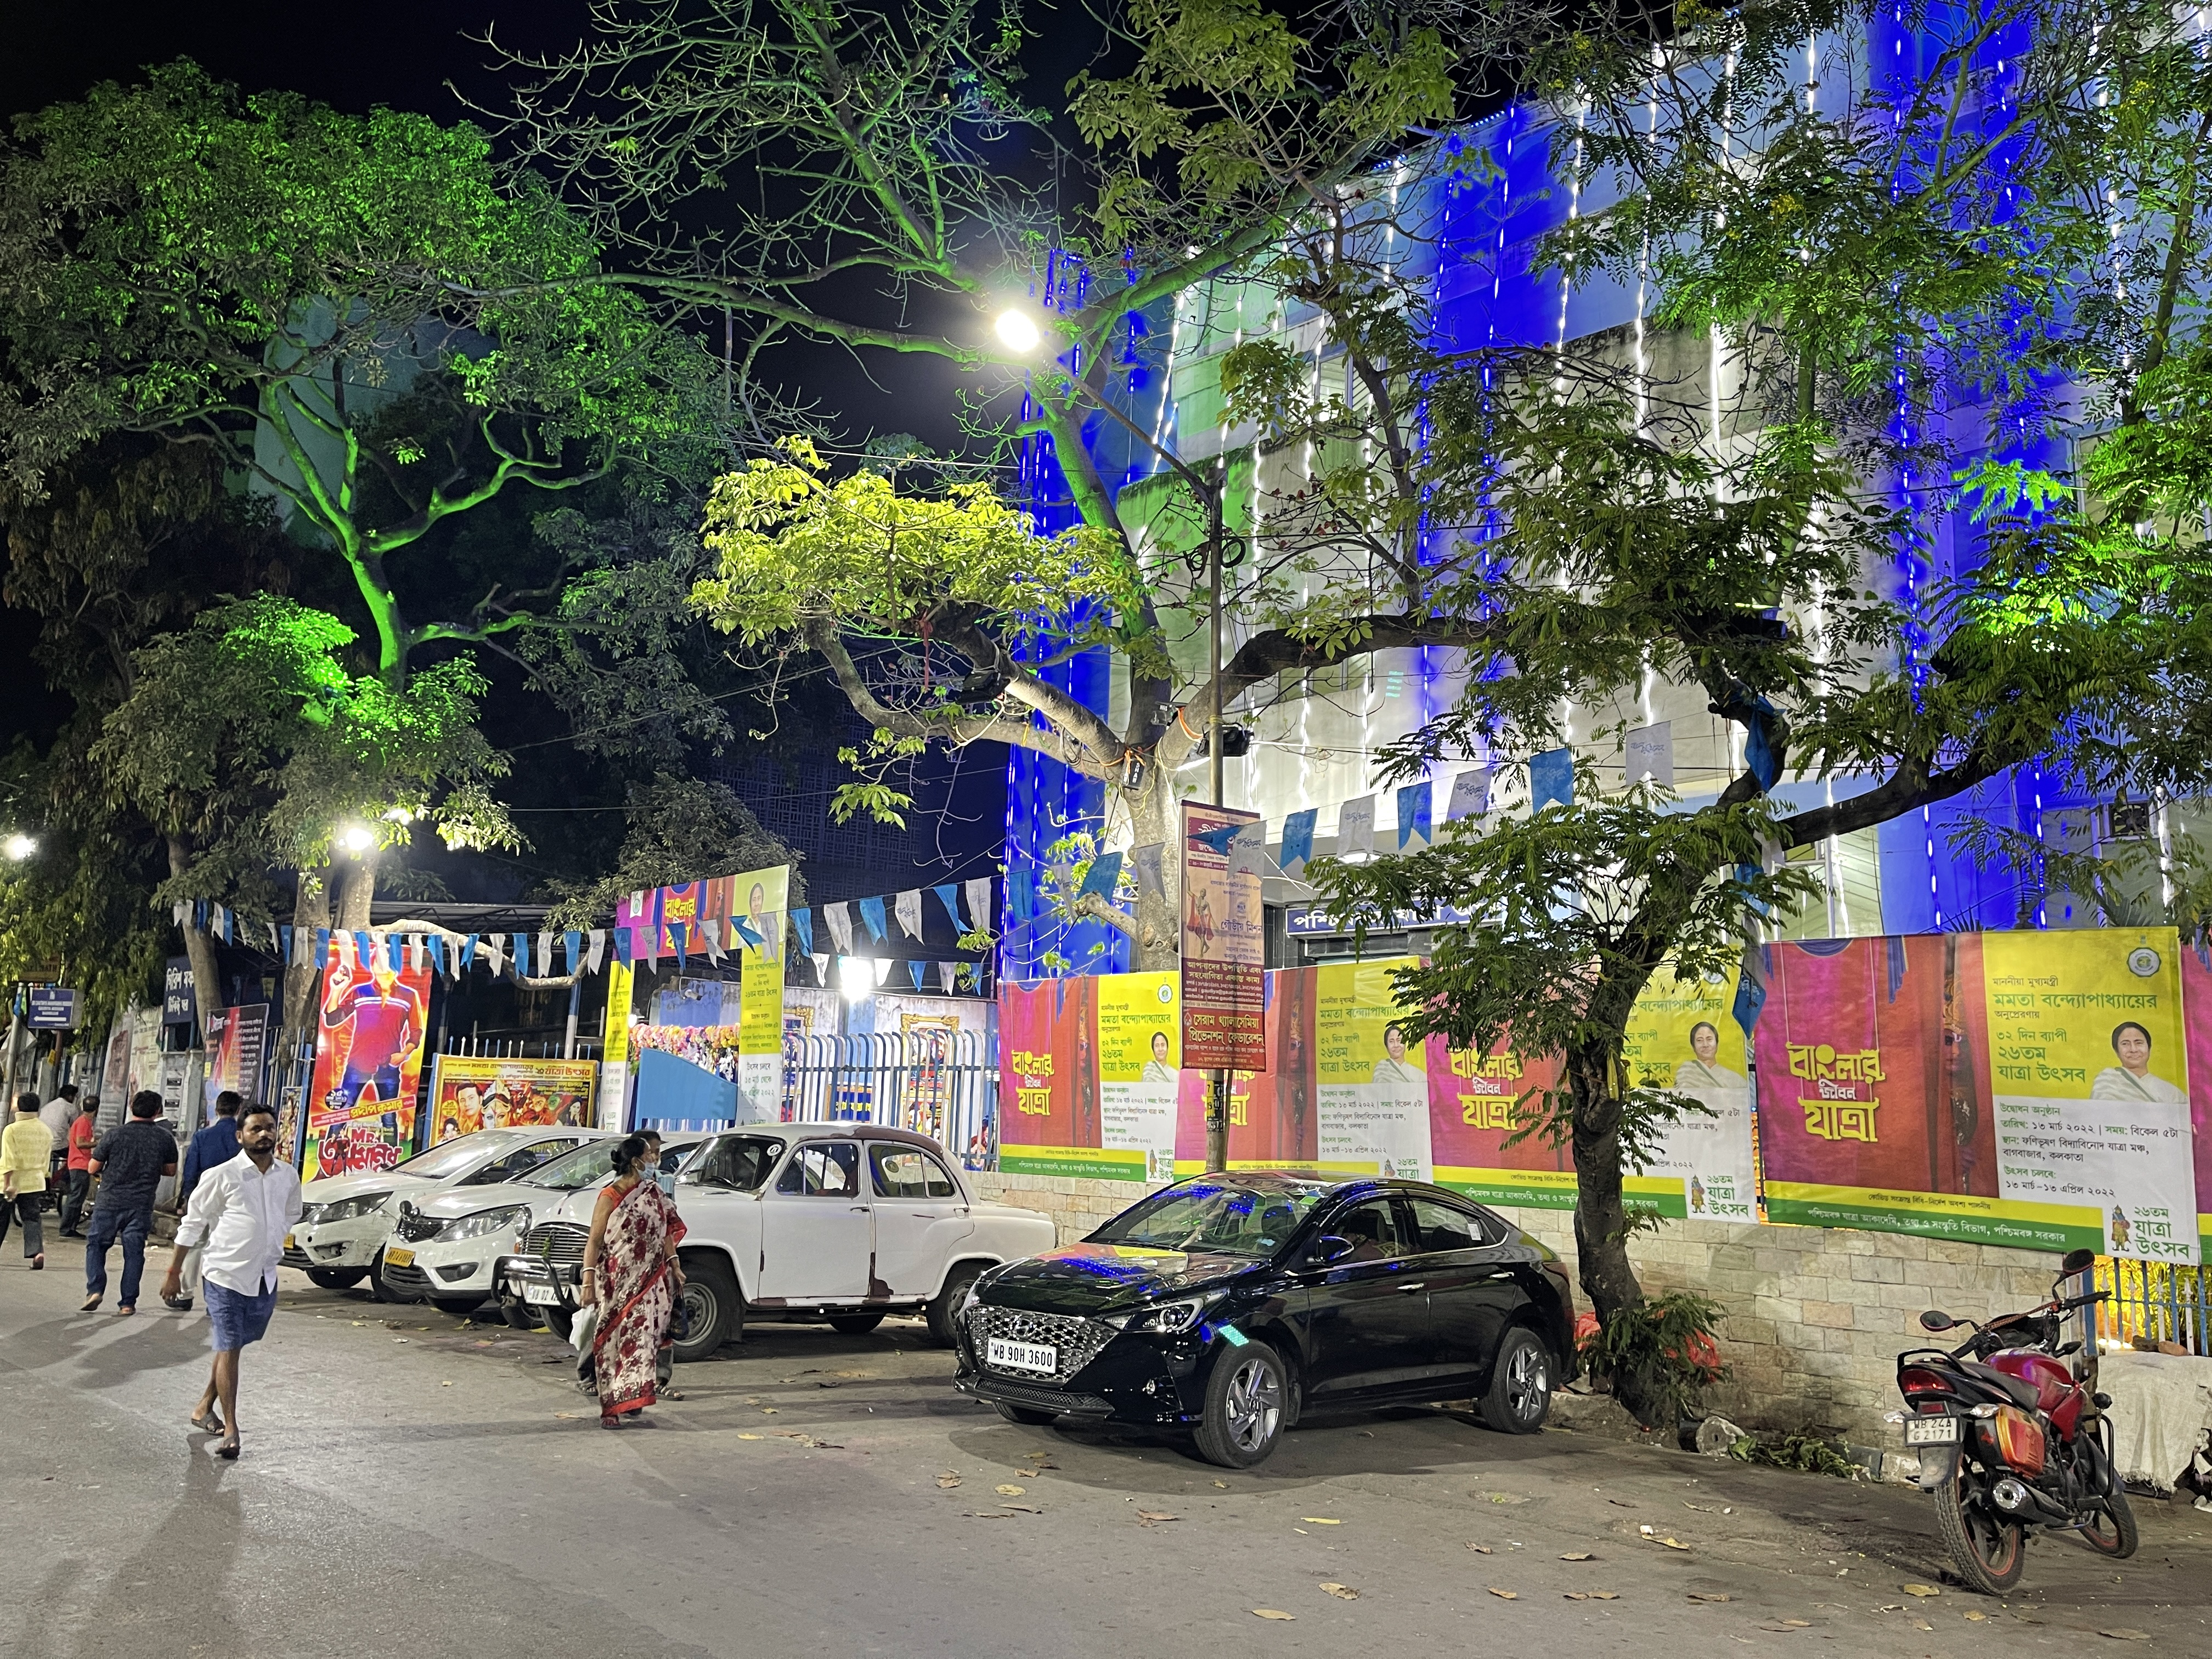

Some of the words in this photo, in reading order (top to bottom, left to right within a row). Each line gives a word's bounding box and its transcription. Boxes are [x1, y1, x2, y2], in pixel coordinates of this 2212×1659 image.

[664, 894, 698, 920] বাংলার
[1218, 915, 1248, 933] গৌড়ীয়
[1242, 915, 1267, 936] মিশন
[1184, 957, 1221, 973] আপনাদের
[1188, 969, 1226, 984] সহযোগিতা
[1222, 970, 1246, 986] একান্ত
[1218, 958, 1251, 978] উপস্থিতি
[1242, 972, 1263, 985] কাম্য
[1248, 964, 1265, 977] এবং
[1988, 970, 2028, 991] মাননীয়া
[2025, 971, 2063, 990] মুখ্যমন্ত্রী
[741, 986, 761, 999] ২৬তম
[755, 985, 780, 1001] যাত্রা উৎসব
[1097, 1012, 1121, 1027] মমতা
[1101, 1036, 1122, 1050] ৩২দিন
[1118, 1034, 1138, 1048] ব্যাপী
[1120, 1009, 1173, 1028] বন্দ্যোপাধ্যায়ের
[1190, 1008, 1217, 1030] সেরাম
[1180, 1022, 1228, 1048] প্রিভেনশন্
[1217, 1012, 1261, 1033] থ্যালাসেমিয়া
[1223, 1030, 1269, 1048] ফেডারেশন
[1313, 1005, 1344, 1023] মমতা
[1317, 1030, 1345, 1047] ৩২দিন
[1318, 1019, 1348, 1031] অনুপ্রেরণায়
[1337, 992, 1359, 1007] মুখ্যমন্ত্রী
[1342, 1029, 1364, 1046] ব্যাপী
[1345, 998, 1411, 1021] বন্দ্যেয়পাধ্যায়ের
[1633, 1021, 1661, 1046] ব্যাপী
[1637, 992, 1728, 1015] বন্দ্যোপাধ্যায়ের
[1994, 1030, 2015, 1045] ৩২
[1990, 986, 2037, 1013] মমতা
[1991, 1006, 2041, 1024] অনুপ্রেরণায়
[2015, 1021, 2039, 1045] দিন
[2037, 1024, 2070, 1045] ব্যাপী
[2038, 989, 2160, 1011] বন্দ্যোপাধ্যায়ের
[742, 1058, 761, 1075] উৎসব
[754, 1060, 773, 1073] চলবে:
[1006, 1040, 1059, 1081] বাংলার
[1020, 1071, 1045, 1090] জীবন
[1014, 1084, 1054, 1119] যাত্রা
[1100, 1059, 1120, 1076] যাত্রা
[1100, 1046, 1127, 1062] ২৬তম
[1113, 1054, 1144, 1077] উৎসব
[1314, 1087, 1340, 1101] উদ্বোধন
[1317, 1096, 1339, 1112] তারিখ:
[1318, 1133, 1339, 1146] উৎসব
[1317, 1059, 1342, 1076] যাত্রা
[1319, 1143, 1343, 1157] ১৩ মার্চ
[1319, 1121, 1348, 1133] বাগবাজার
[1318, 1044, 1351, 1064] ২৬তম
[1330, 1110, 1354, 1123] ফণিভূষণ
[1335, 1099, 1359, 1113] ১৩ মার্চ
[1337, 1085, 1360, 1101] অনুষ্ঠান
[1337, 1057, 1374, 1076] উৎসব
[1342, 1139, 1372, 1156] ১৩ এপ্রিল
[1347, 1121, 1370, 1132] কলকাতা
[1353, 1096, 1378, 1111] ২০২২
[1349, 1108, 1384, 1123] বিদ্যাবিনোদ
[1369, 1146, 1389, 1158] ২০২২
[1379, 1109, 1408, 1124] যাত্রা মঞ্চ,
[1375, 1093, 1414, 1111] সময়ঃবিকেল
[1394, 1153, 1420, 1169] ২৬তম
[1393, 1166, 1423, 1182] যাত্রা
[1406, 1096, 1427, 1110] ৫টা
[1458, 1184, 1494, 1199] পশ্চিমবঙ্গ
[1466, 1070, 1504, 1101] জীবন
[1443, 1039, 1530, 1083] বাংলার
[1455, 1089, 1527, 1135] যাত্রা
[1487, 1187, 1506, 1202] যাত্রা
[1504, 1189, 1539, 1204] আকাদেমি,
[1532, 1190, 1553, 1205] তথ্য
[1542, 1172, 1573, 1186] বিধি-নির্দেশ
[1554, 1190, 1583, 1206] সংস্কৃতি
[1630, 1048, 1675, 1078] উৎসব
[1649, 1154, 1673, 1168] এপ্রিল
[1646, 1116, 1688, 1132] বিদ্যাবিনোদ
[1667, 1160, 1696, 1173] ২০২২
[1681, 1122, 1703, 1133] যাত্রা
[1701, 1122, 1718, 1133] মঞ্চ,
[1703, 1183, 1736, 1202] যাত্রা
[1705, 1171, 1736, 1190] ২৬তম
[1705, 1197, 1752, 1223] উৎসব
[1805, 1201, 1844, 1223] পশ্চিমবঙ্গ
[1812, 1074, 1858, 1102] জীবন
[1786, 1040, 1889, 1086] বাংলার
[1795, 1093, 1886, 1147] যাত্রা
[1836, 1208, 1864, 1226] যাত্রা
[1866, 1187, 1892, 1203] কোভিড
[1857, 1211, 1902, 1228] আকাদেমি,
[1891, 1191, 1914, 1205] সংক্রান্ত
[1900, 1212, 1923, 1233] তথ্য
[1909, 1189, 1948, 1210] বিধি-নির্দেশ
[1918, 1214, 1961, 1236] ওসংস্কৃতি
[1945, 1199, 1967, 1212] অবশ্য
[1957, 1216, 1993, 1237] বিভাগ,
[2000, 1134, 2023, 1146] স্থান:
[1991, 1220, 2035, 1239] পশ্চিমবঙ্গ
[1996, 1097, 2032, 1116] উদ্বোধন
[1995, 1063, 2034, 1084] যাত্রা
[1999, 1163, 2030, 1180] উৎসব
[1999, 1112, 2033, 1131] তারিখ:
[2005, 1177, 2038, 1193] ১৩মার্চ
[1997, 1044, 2047, 1065] ২৬তম
[2002, 1145, 2044, 1163] বাগবাজার
[2019, 1130, 2058, 1150] ফণিভূষণ
[2028, 1165, 2059, 1182] চলবে:
[2024, 1100, 2064, 1121] অনুষ্ঠান
[2032, 1115, 2066, 1133] ১৩মার্চ
[2031, 1228, 2067, 1244] সরকার
[2042, 1182, 2062, 1195] ১৩
[2032, 1058, 2089, 1086] উৎসব
[2047, 1147, 2085, 1164] কলকাতা
[2056, 1178, 2088, 1198] এপ্রিল
[2053, 1134, 2106, 1150] বিদ্যাবিনোদ
[2065, 1122, 2098, 1137] ২০২২
[2084, 1183, 2117, 1199] ২০২২
[2100, 1120, 2131, 1139] সময়:
[2105, 1138, 2131, 1156] যাত্রা
[2121, 1141, 2152, 1156] মঞ্চ,
[2126, 1119, 2164, 1140] বিকেল
[2132, 1201, 2172, 1221] ২৬তম
[2131, 1217, 2176, 1238] যাত্রা
[2157, 1121, 2182, 1141] ৫টা
[2130, 1228, 2192, 1262] উৎসব
[995, 1344, 1048, 1364] B 90H 360